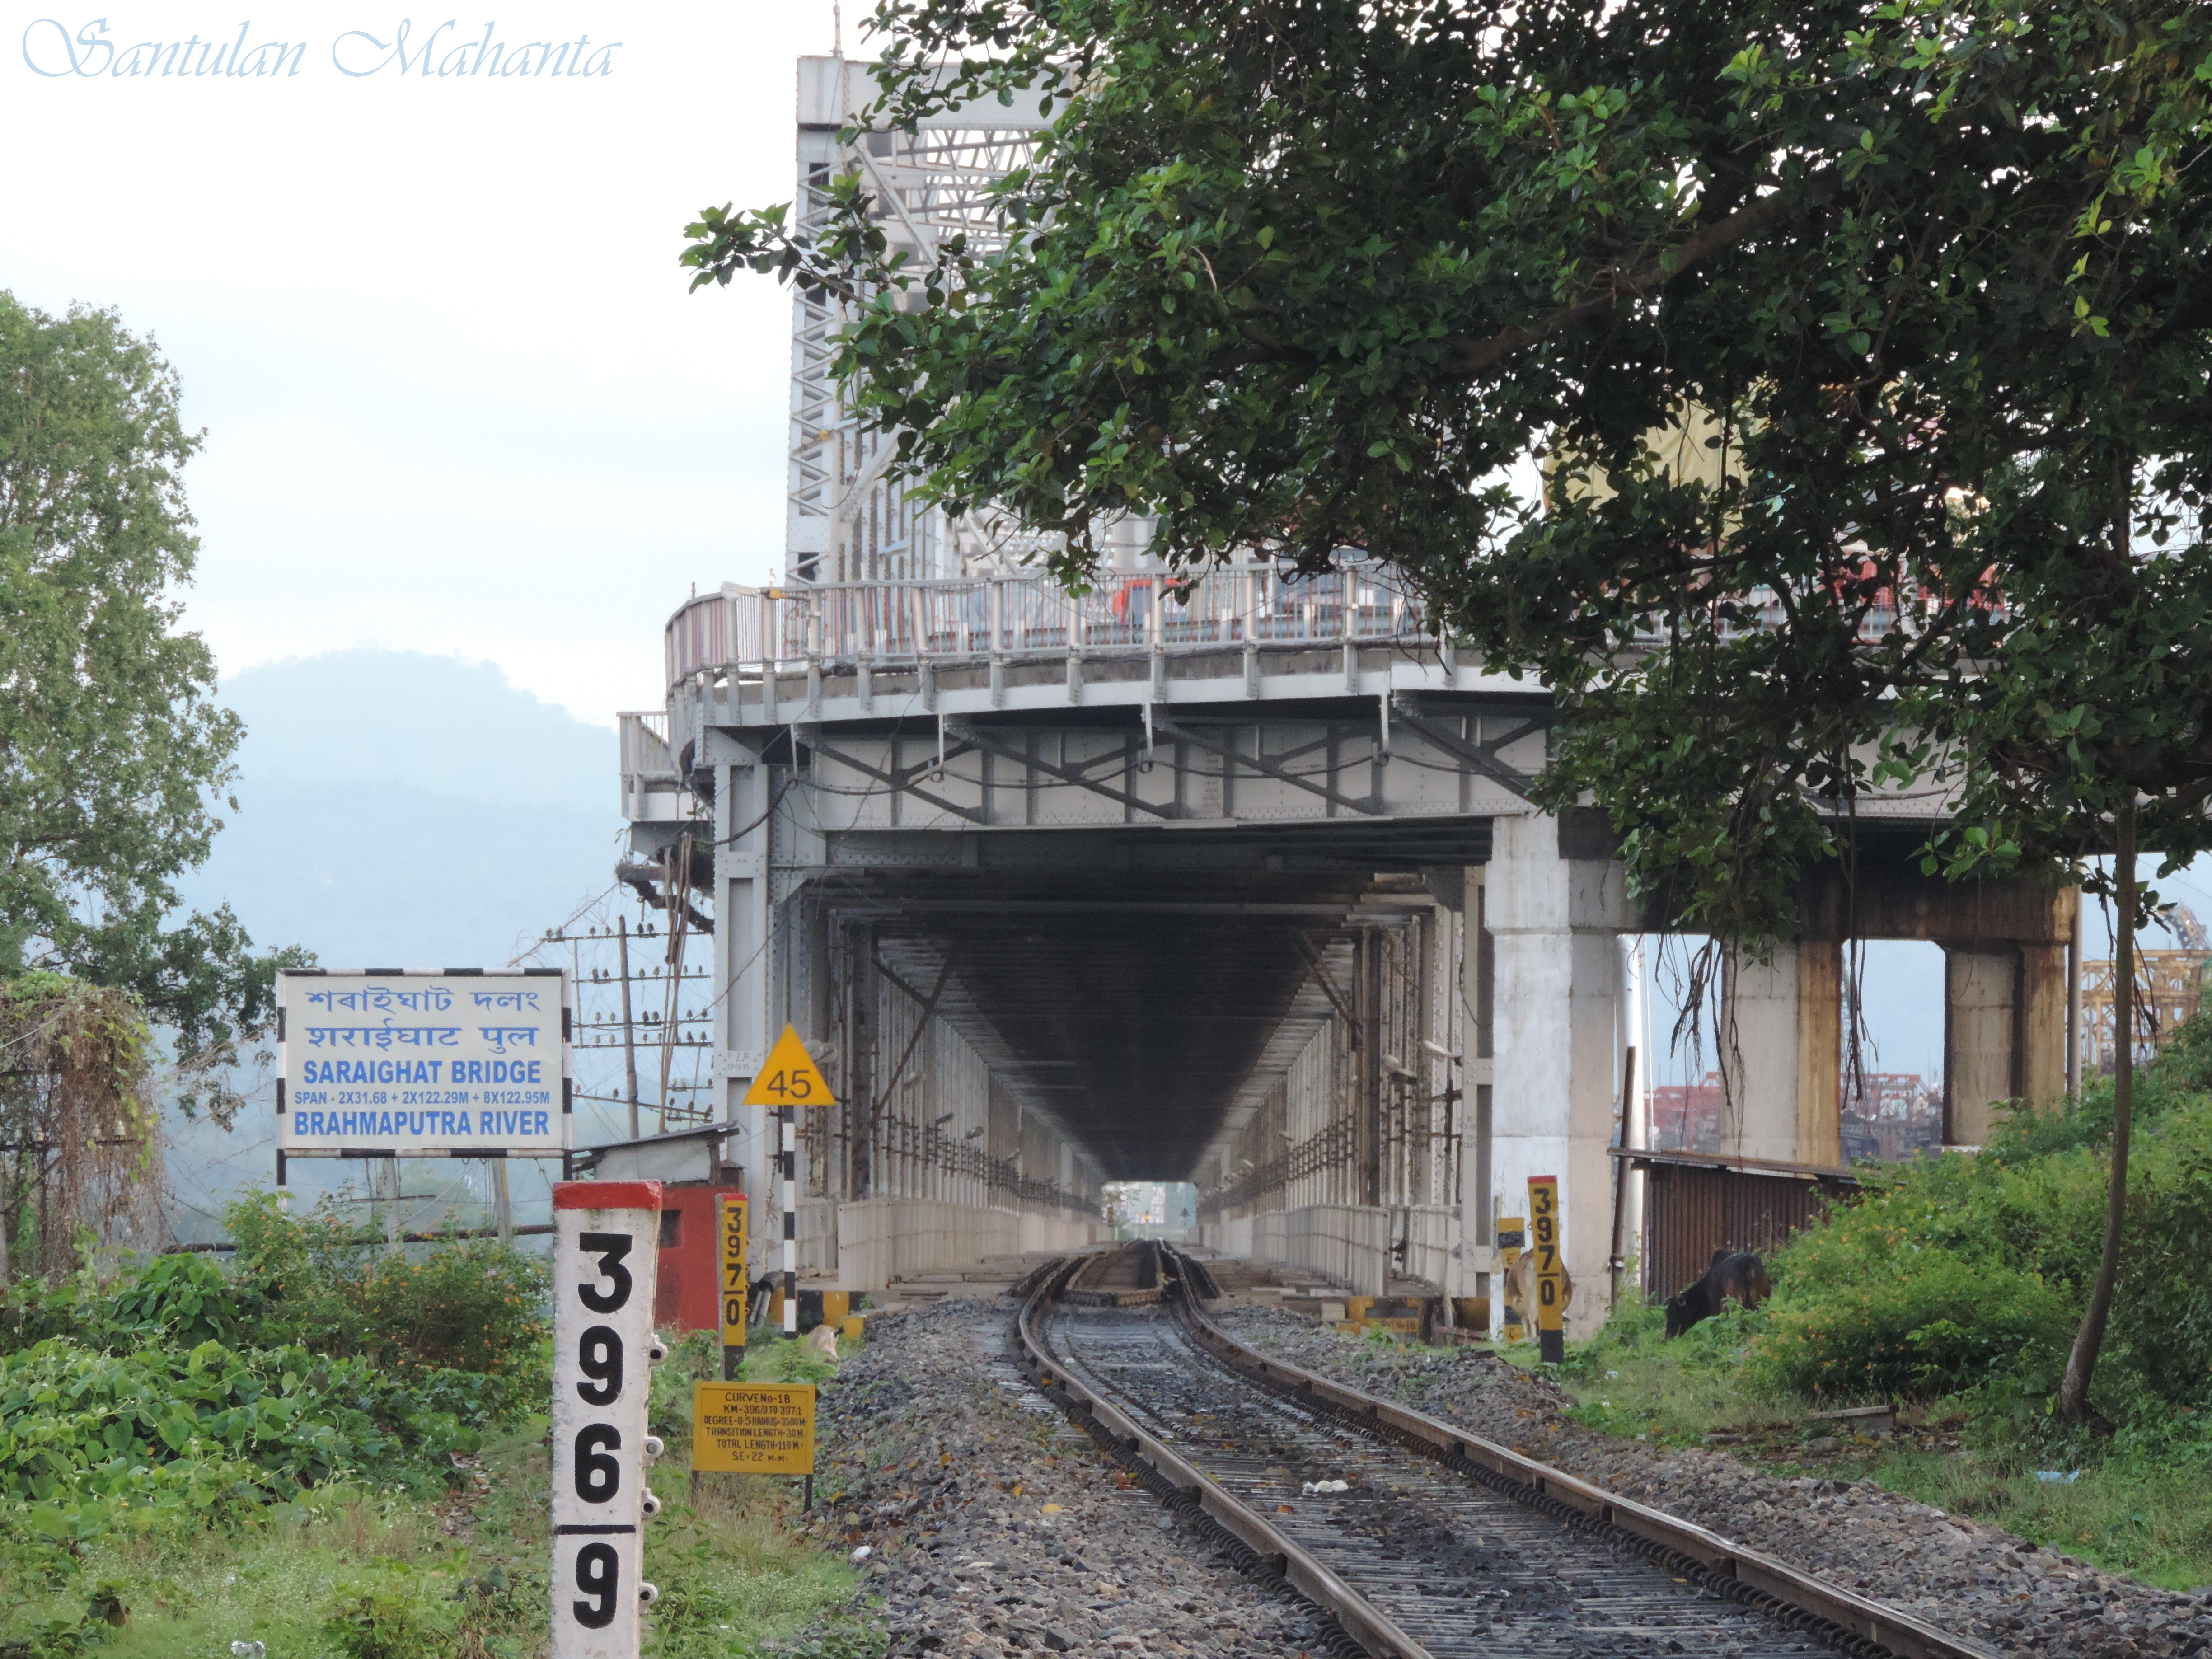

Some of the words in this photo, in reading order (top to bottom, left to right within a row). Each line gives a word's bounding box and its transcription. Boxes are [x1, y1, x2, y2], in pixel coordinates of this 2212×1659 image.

[19, 13, 309, 86] Santulan
[328, 15, 628, 83] Mahanta
[304, 981, 455, 1017] শৰাইঘাট
[468, 989, 541, 1014] দলং
[305, 1015, 462, 1054] शराईघाट
[478, 1024, 542, 1056] पुल
[304, 1059, 444, 1086] SARAIGHAT
[451, 1057, 542, 1085] BRIDGE
[762, 1068, 812, 1100] 45
[294, 1090, 328, 1106] SPAN
[338, 1089, 388, 1107] 2X31.68
[400, 1088, 470, 1106] 2X122.29M
[482, 1089, 551, 1106] 8X122.95M
[293, 1110, 473, 1137] BRAHMAPUTRA
[478, 1111, 550, 1136] RIVER
[577, 1229, 634, 1316] 3
[573, 1326, 628, 1409] 9
[702, 1414, 734, 1426] DEGREE
[704, 1426, 753, 1438] TRANSITION
[719, 1403, 739, 1415] KM
[716, 1438, 742, 1449] TOTAL
[724, 1392, 760, 1403] CURVE
[735, 1414, 778, 1428] 0-5RADIUS
[744, 1438, 776, 1452] LENGTH
[752, 1426, 784, 1439] LENGTH
[742, 1403, 803, 1415] 396/9TO 397/1
[759, 1392, 792, 1405] No-18
[568, 1421, 627, 1506] 6
[573, 1538, 622, 1636] 9